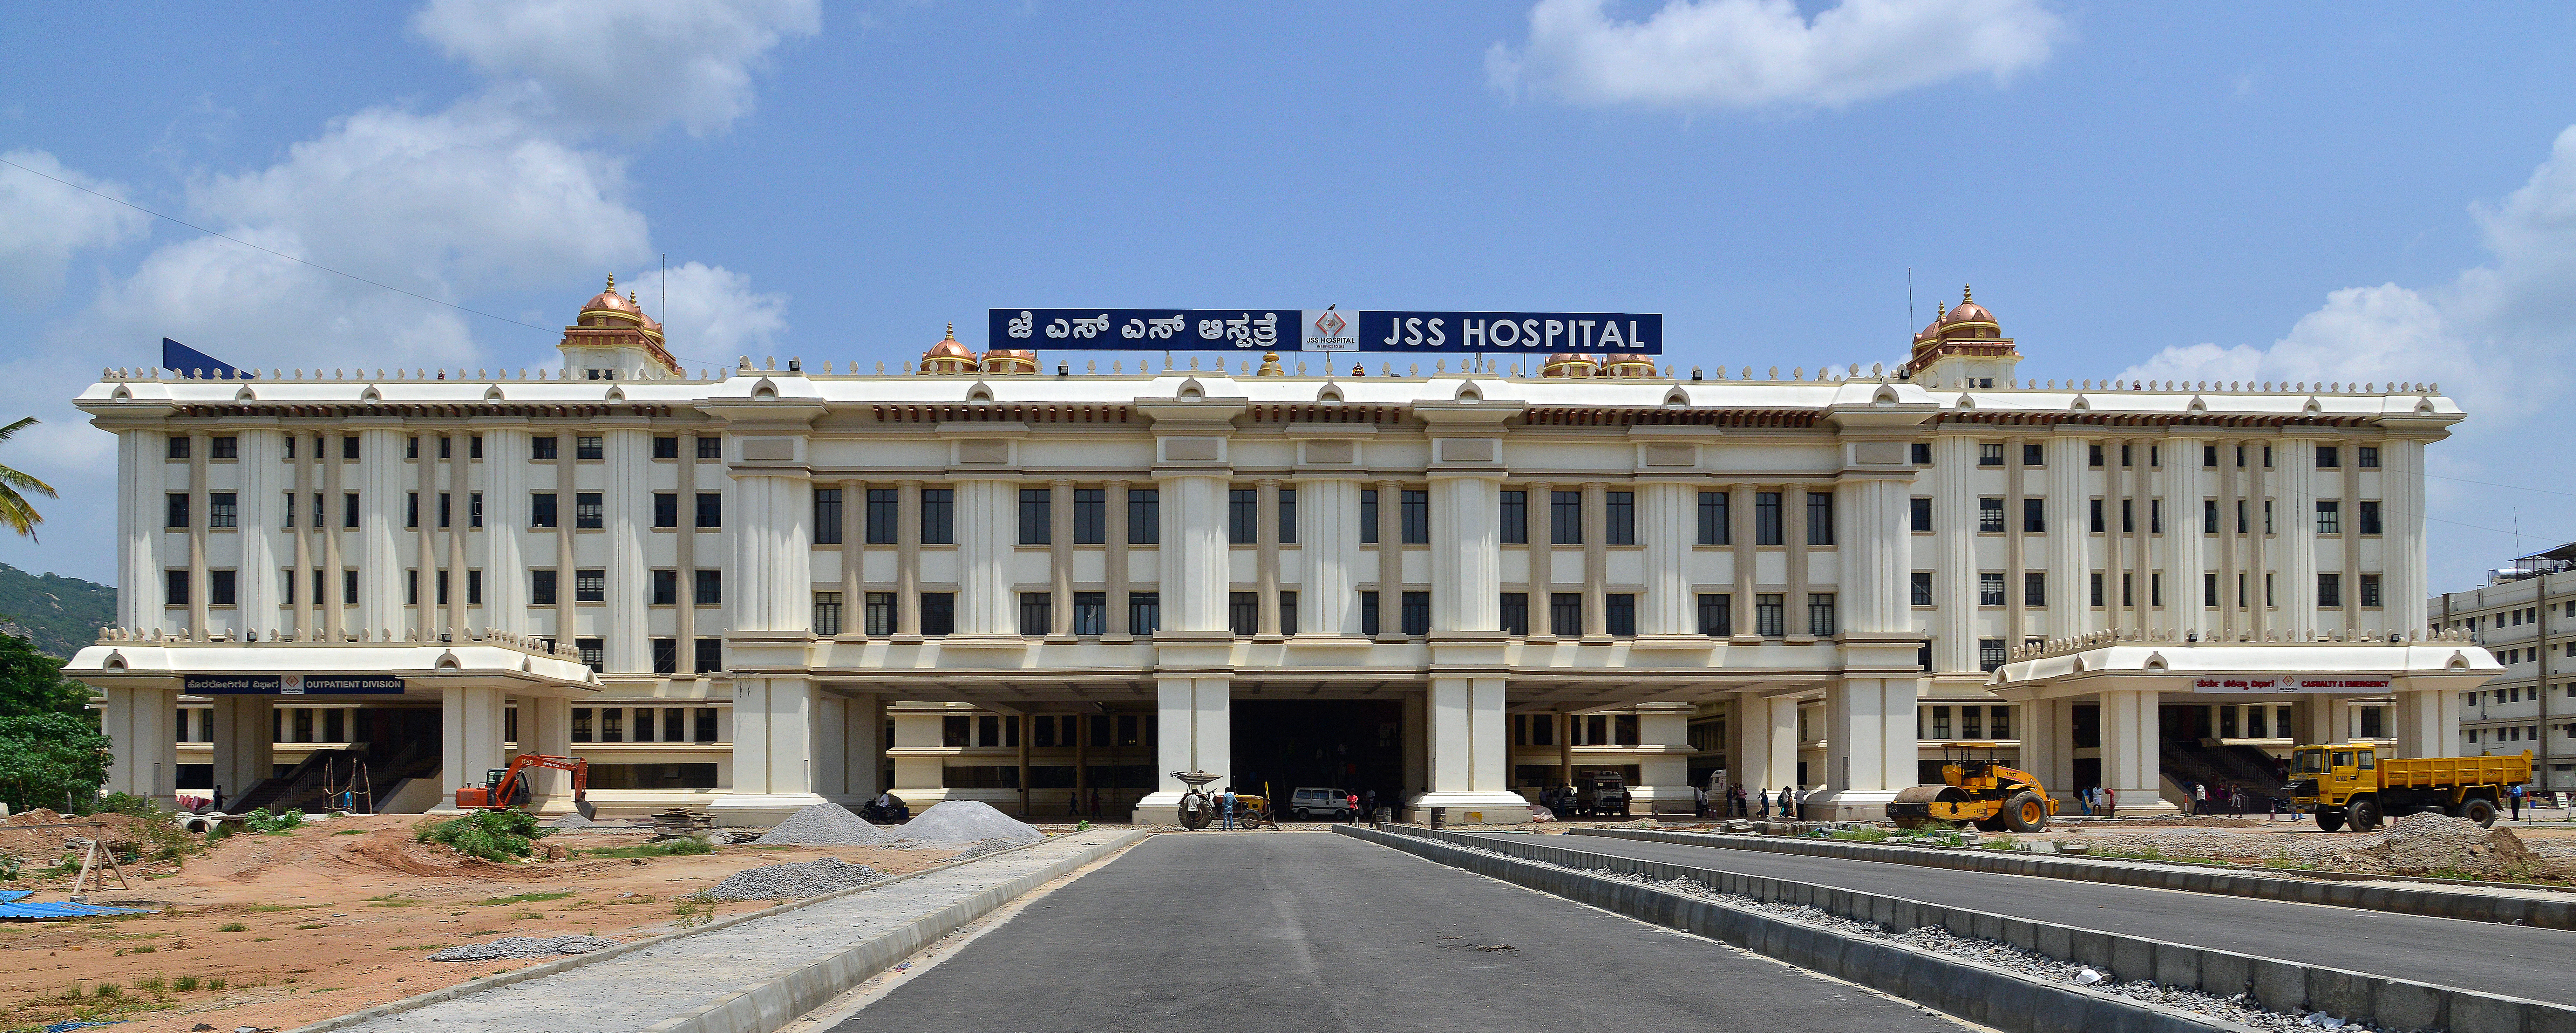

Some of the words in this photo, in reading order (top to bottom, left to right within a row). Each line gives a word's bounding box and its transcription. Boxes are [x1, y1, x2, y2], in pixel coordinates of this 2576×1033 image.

[1005, 306, 1037, 342] ಜೆ
[1040, 310, 1111, 343] ಎಸ್
[1119, 309, 1188, 343] ಎಸ್
[1196, 308, 1283, 353] ಆಸ್ಪತ್ರೆ
[1304, 335, 1321, 344] JSS
[1320, 335, 1356, 344] HOSPITAL
[1380, 315, 1448, 349] JSS
[1460, 316, 1646, 351] HOSPITAL
[185, 678, 249, 690] ಹೊರರೋಗಿಗಳ
[253, 679, 281, 691] ವಿಭಾಗ
[305, 678, 361, 690] OUTPATIENT
[361, 679, 403, 689] DIVISION